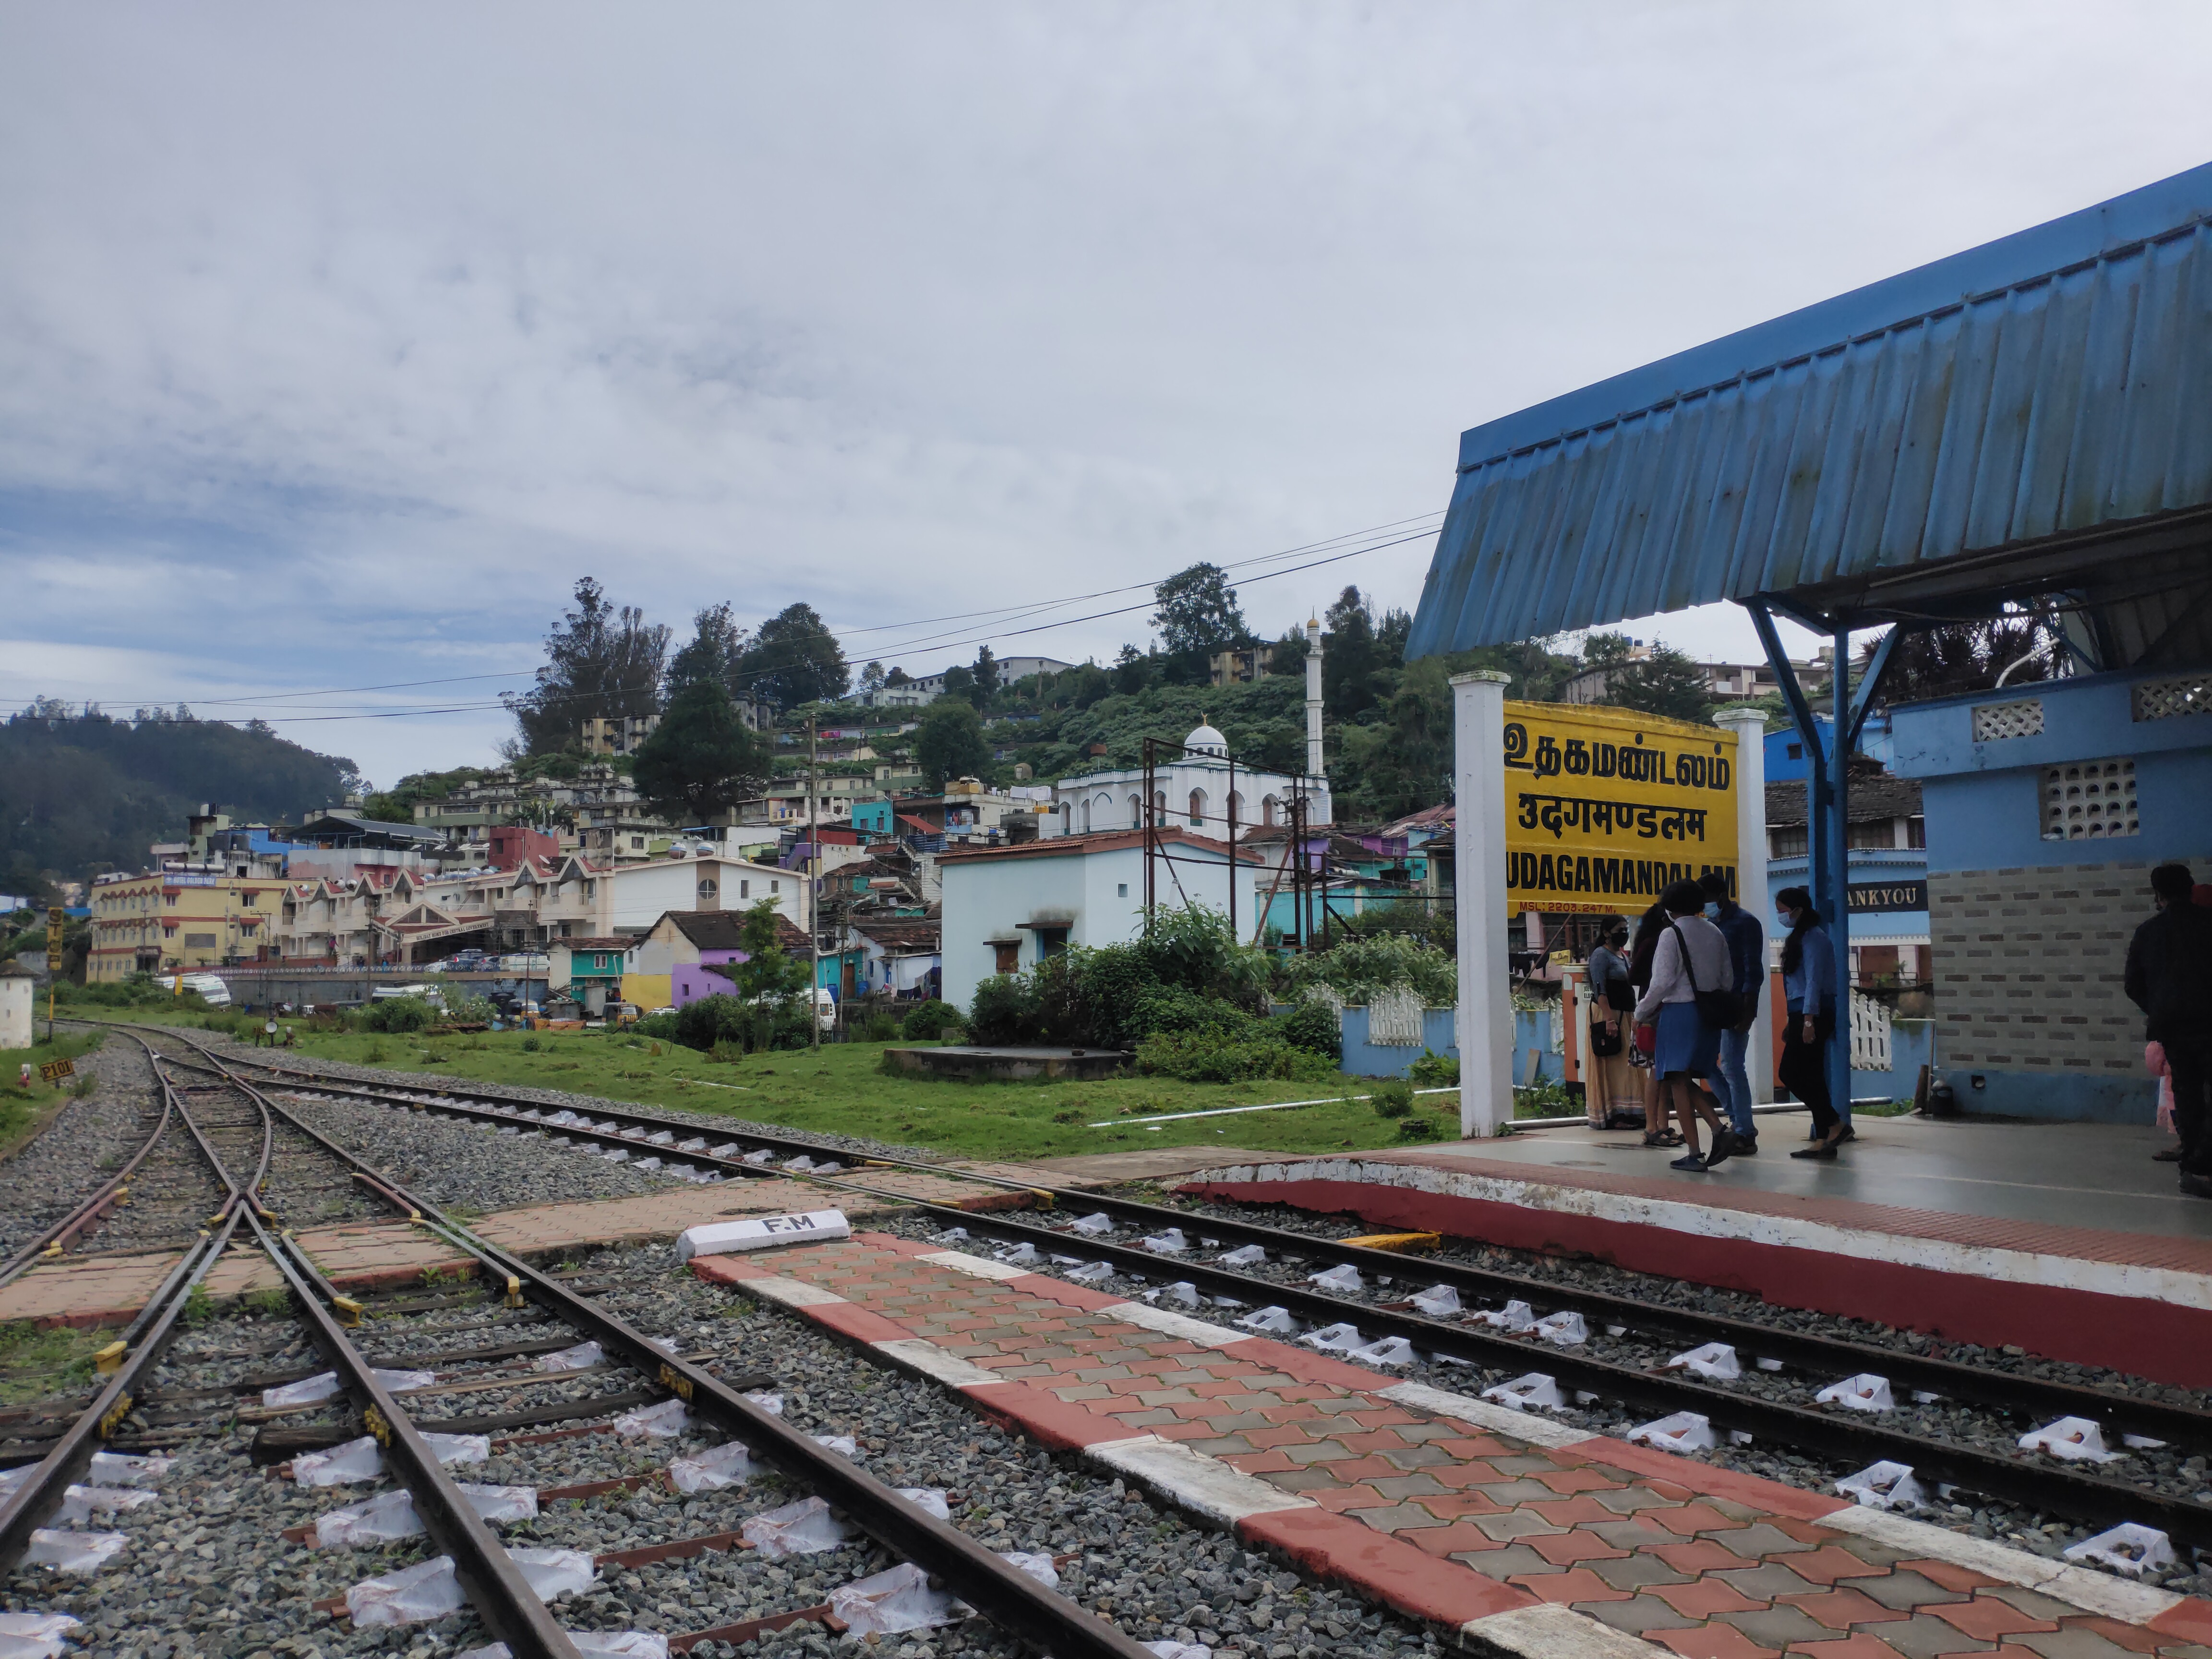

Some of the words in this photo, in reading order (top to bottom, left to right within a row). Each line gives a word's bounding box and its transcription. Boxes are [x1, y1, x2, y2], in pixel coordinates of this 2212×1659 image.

[1497, 716, 1734, 792] உதகமண்டலம்
[1515, 789, 1708, 844] उदगमण्डलम
[1503, 847, 1737, 900] UDAGAMANDALAM
[1515, 896, 1619, 915] MSL:2203.247M.